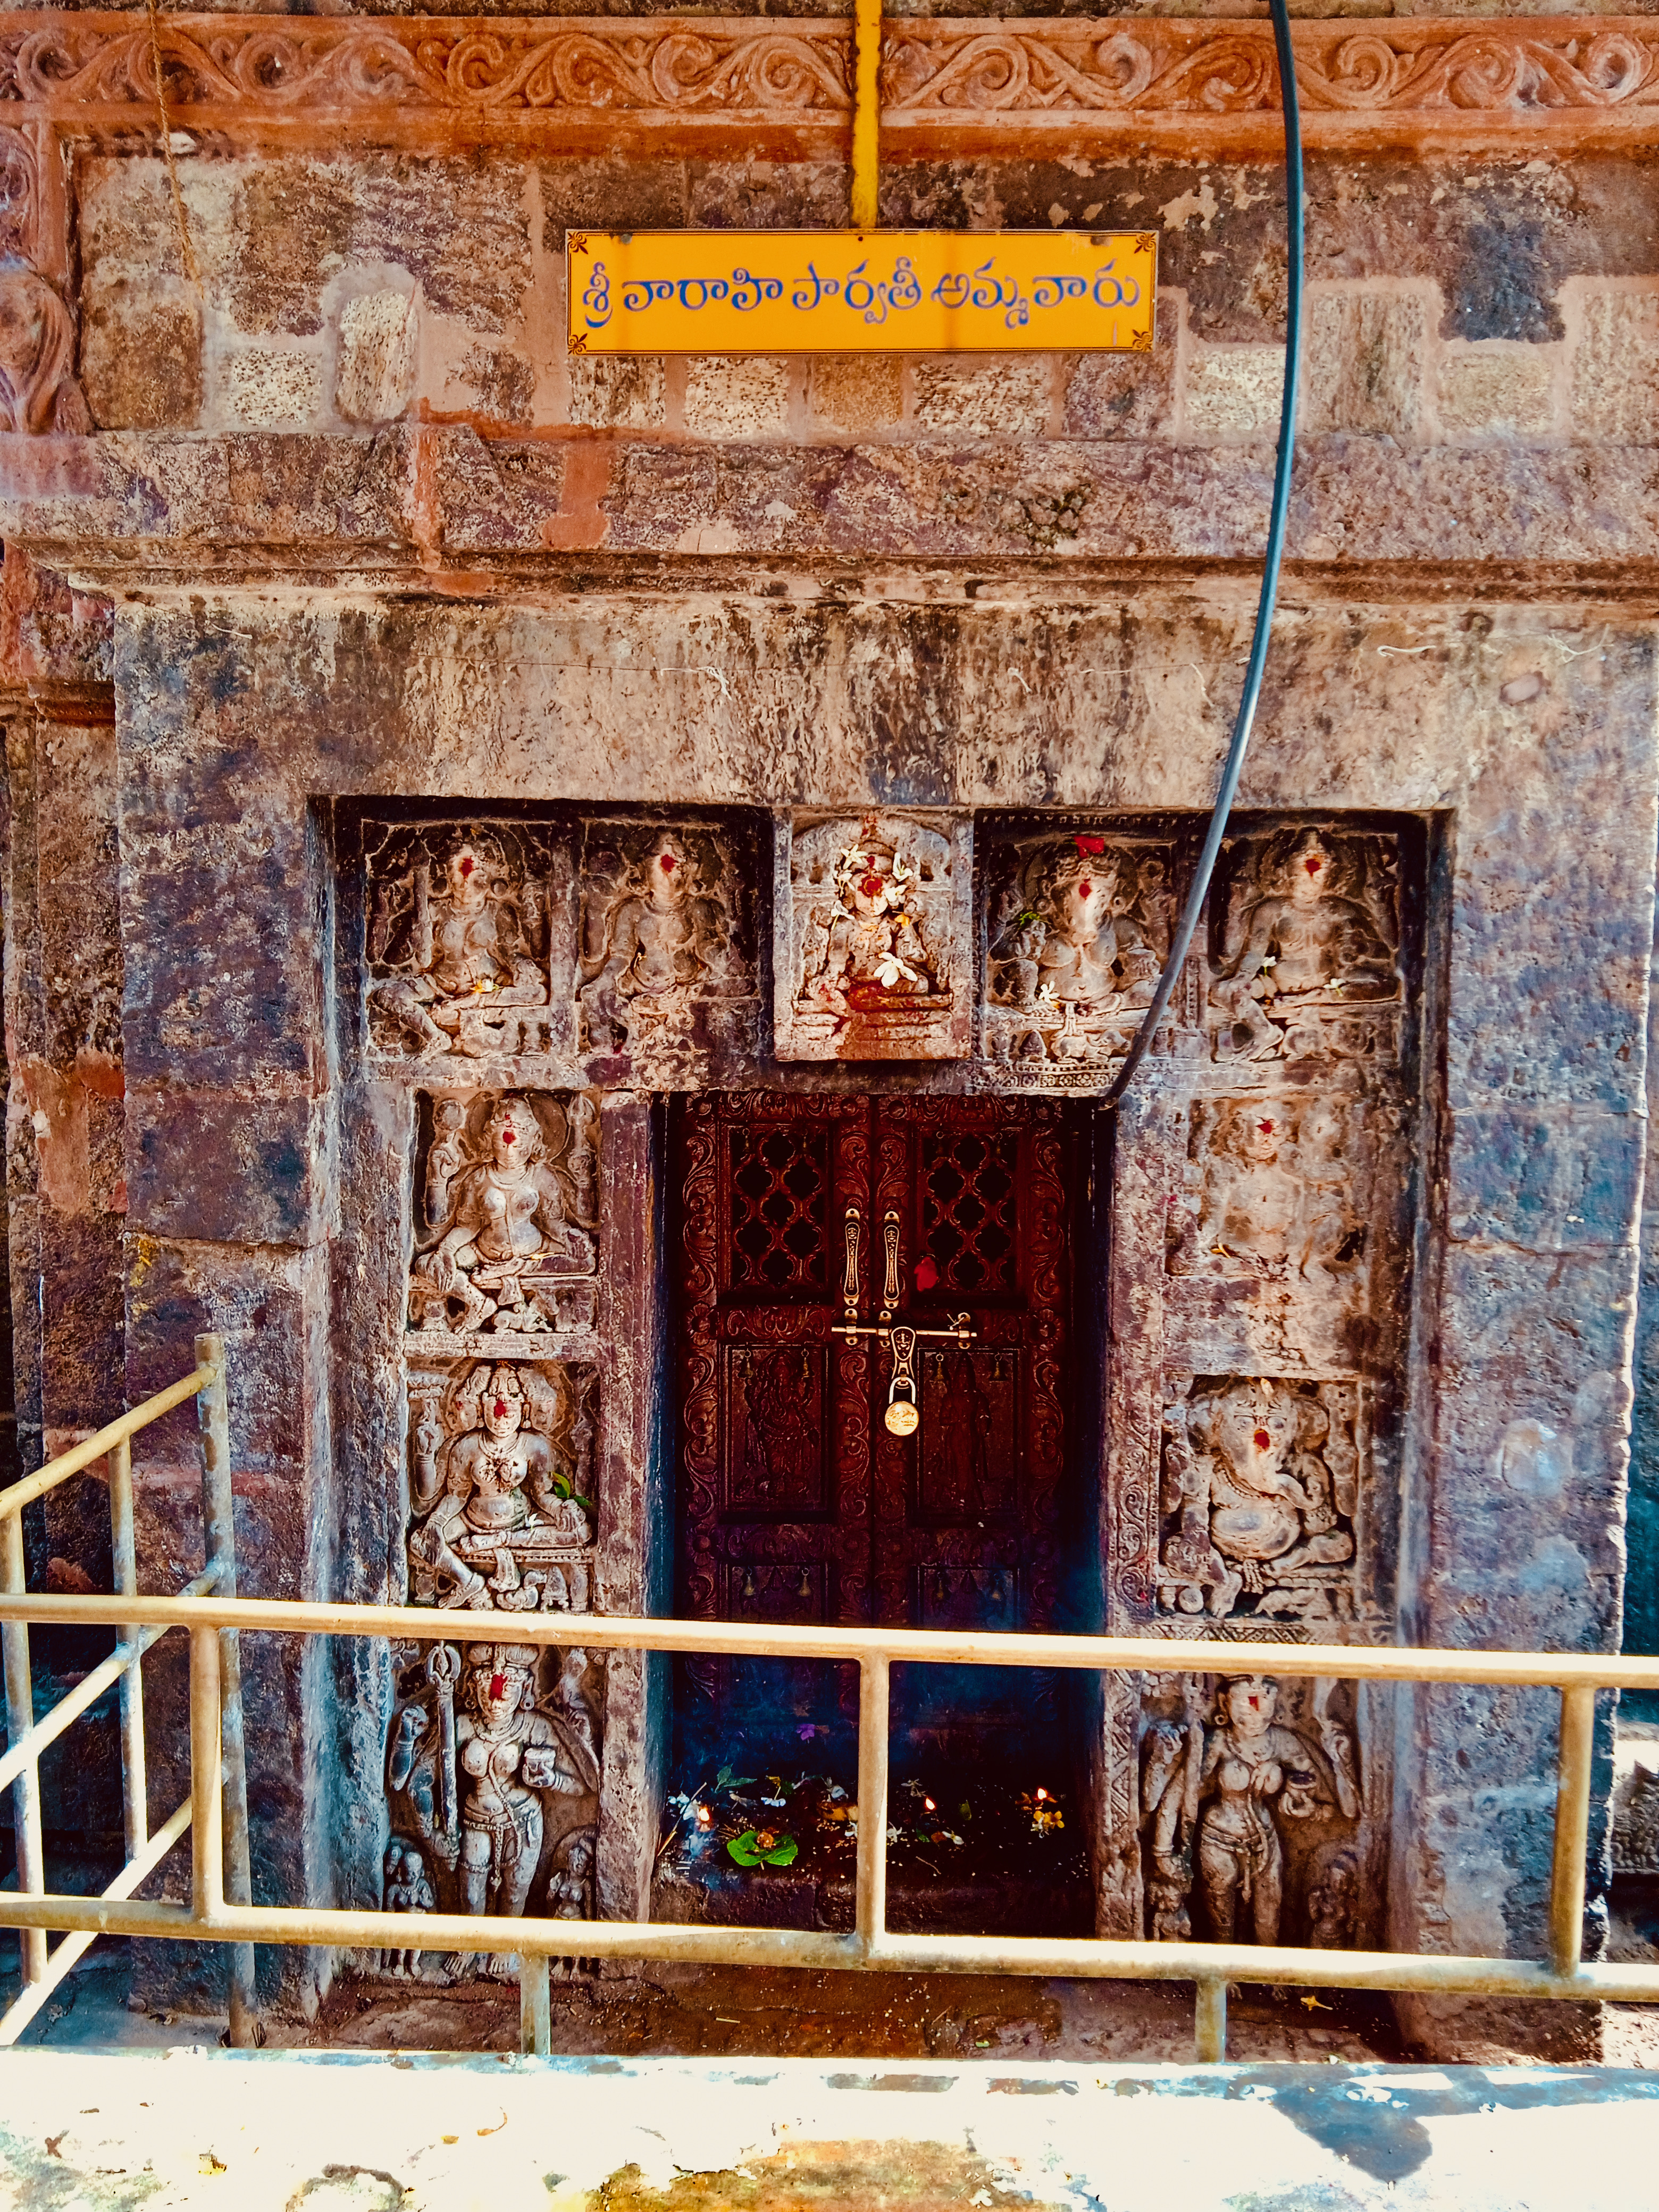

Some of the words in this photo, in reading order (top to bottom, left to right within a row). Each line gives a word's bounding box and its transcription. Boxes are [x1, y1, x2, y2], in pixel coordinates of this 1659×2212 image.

[580, 254, 616, 330] శ్రీ
[619, 264, 786, 316] వారాహి
[789, 253, 926, 329] పార్వతీ
[928, 252, 1144, 333] అమ్మవారు